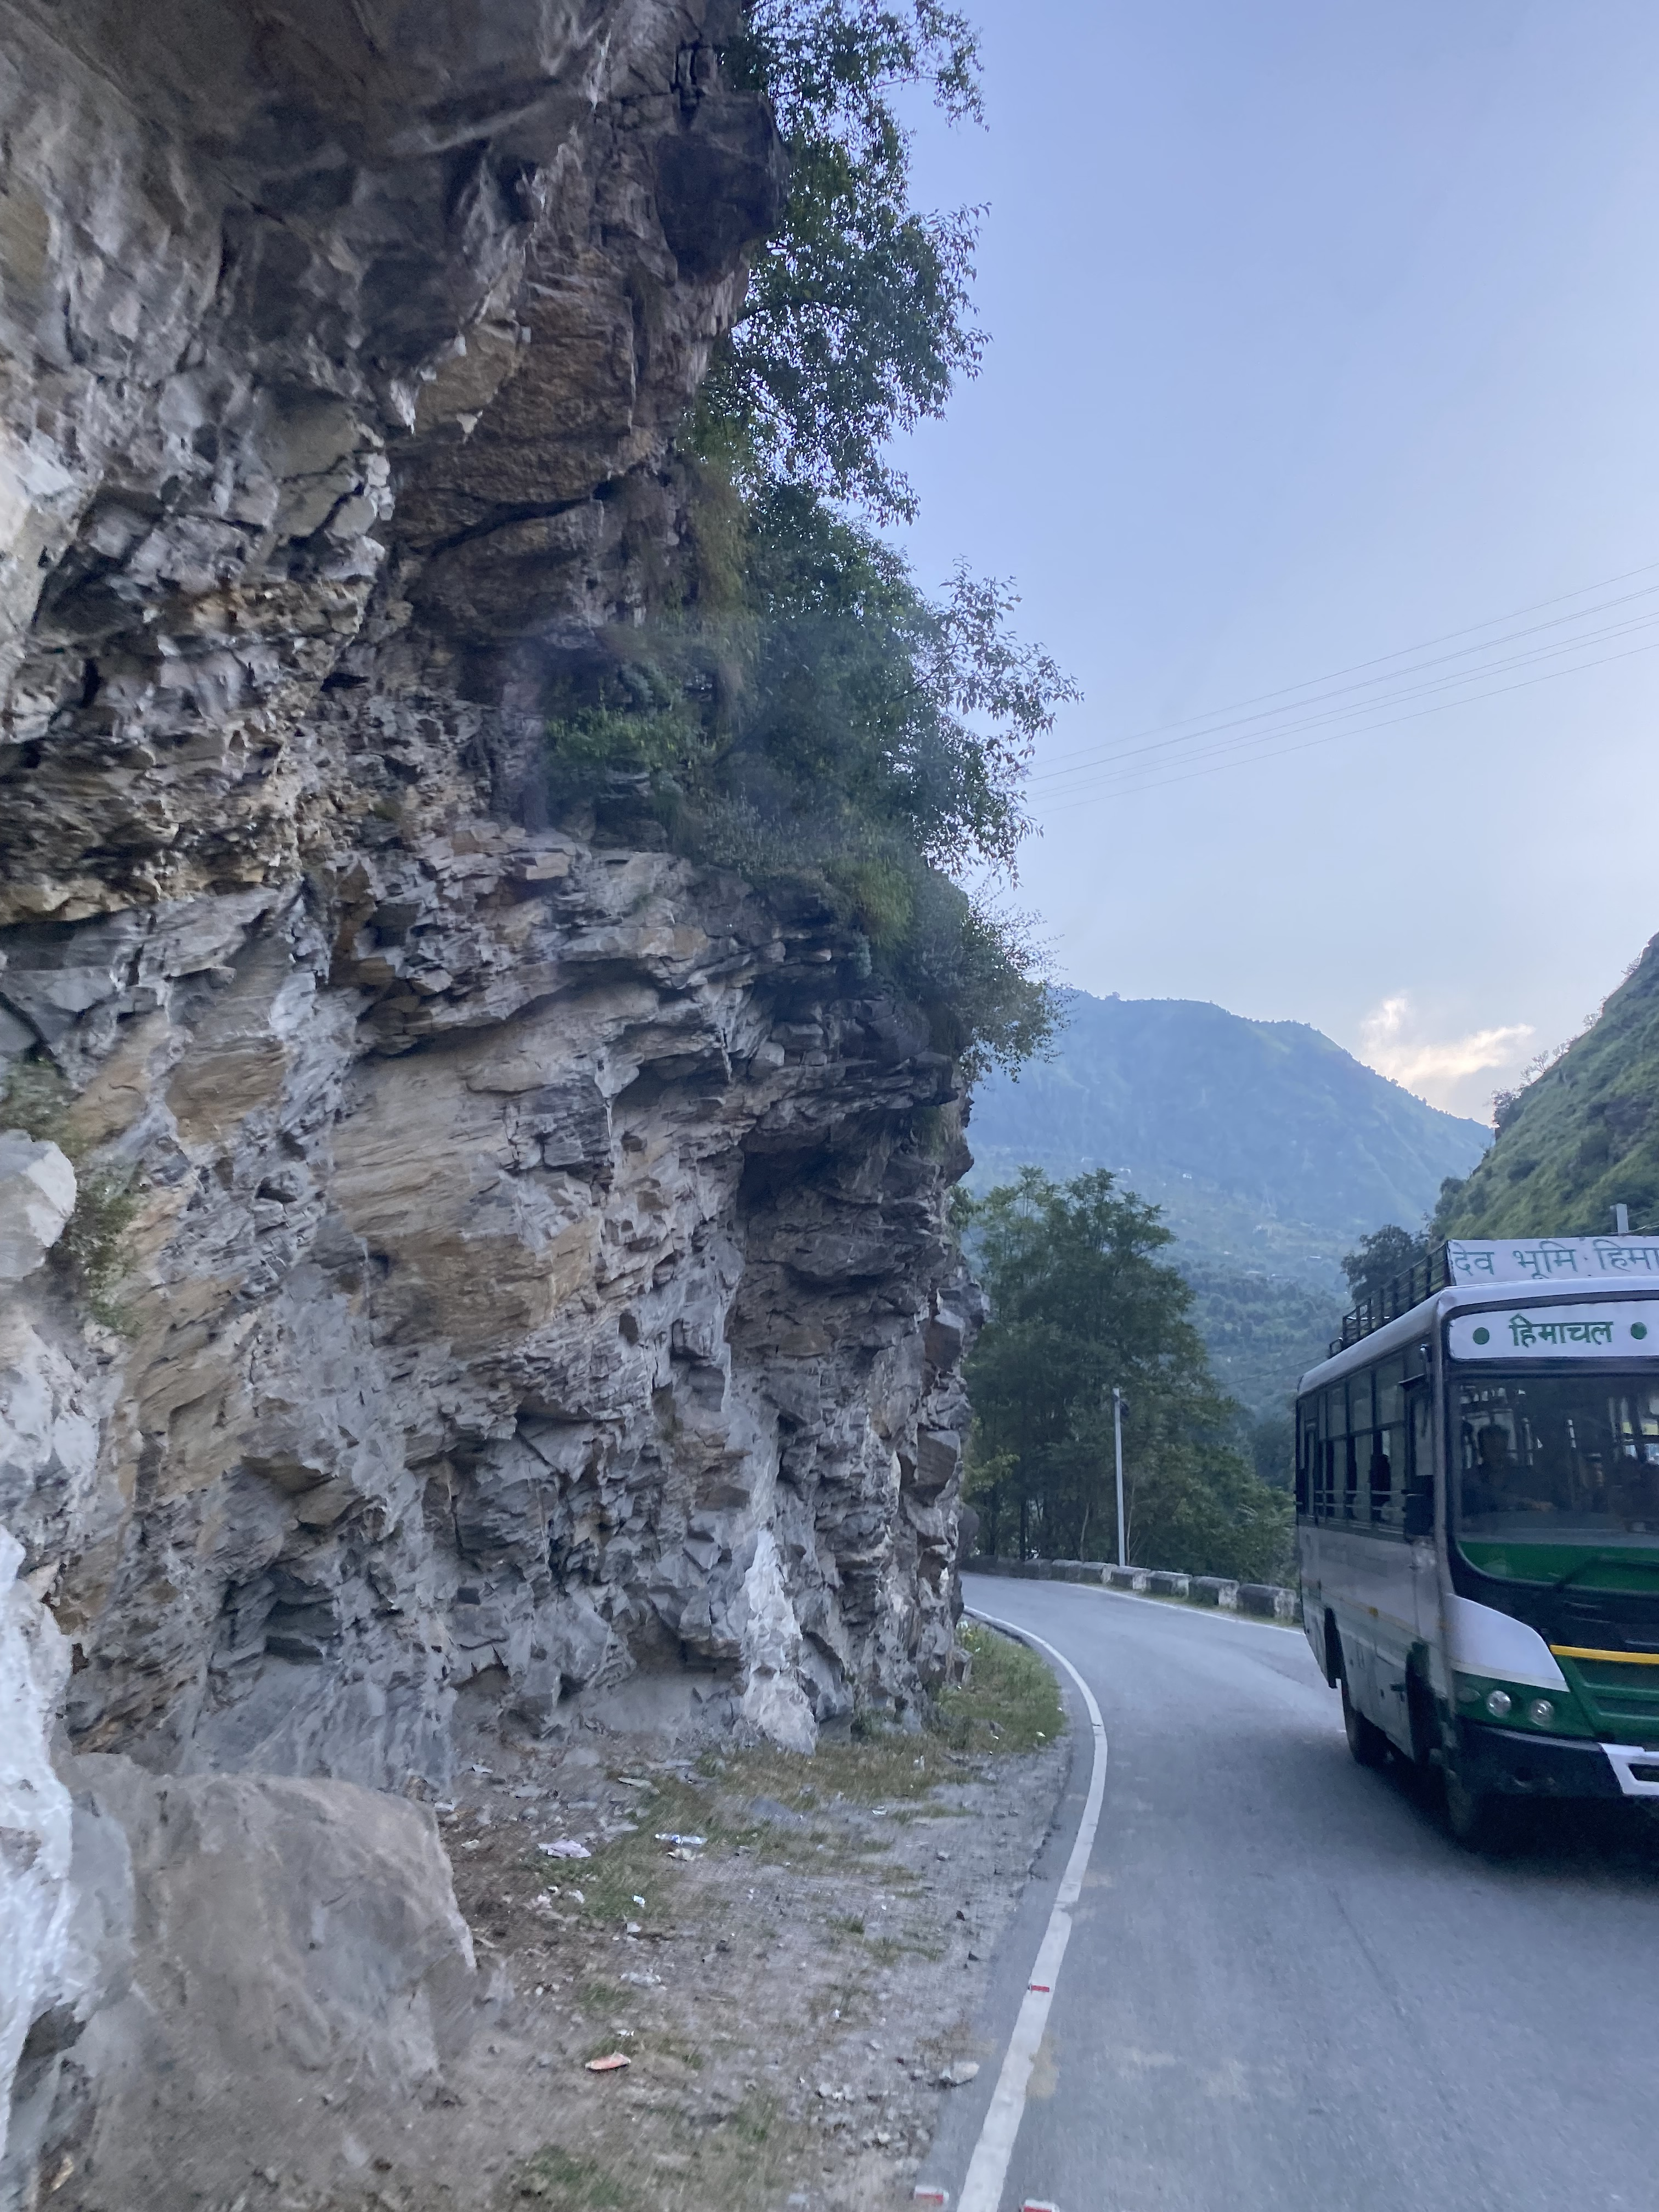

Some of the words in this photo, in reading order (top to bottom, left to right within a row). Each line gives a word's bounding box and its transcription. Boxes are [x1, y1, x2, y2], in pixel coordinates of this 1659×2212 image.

[1448, 1237, 1500, 1277] देव
[1511, 1231, 1581, 1283] भूमि
[1503, 1310, 1616, 1352] हिमाचल